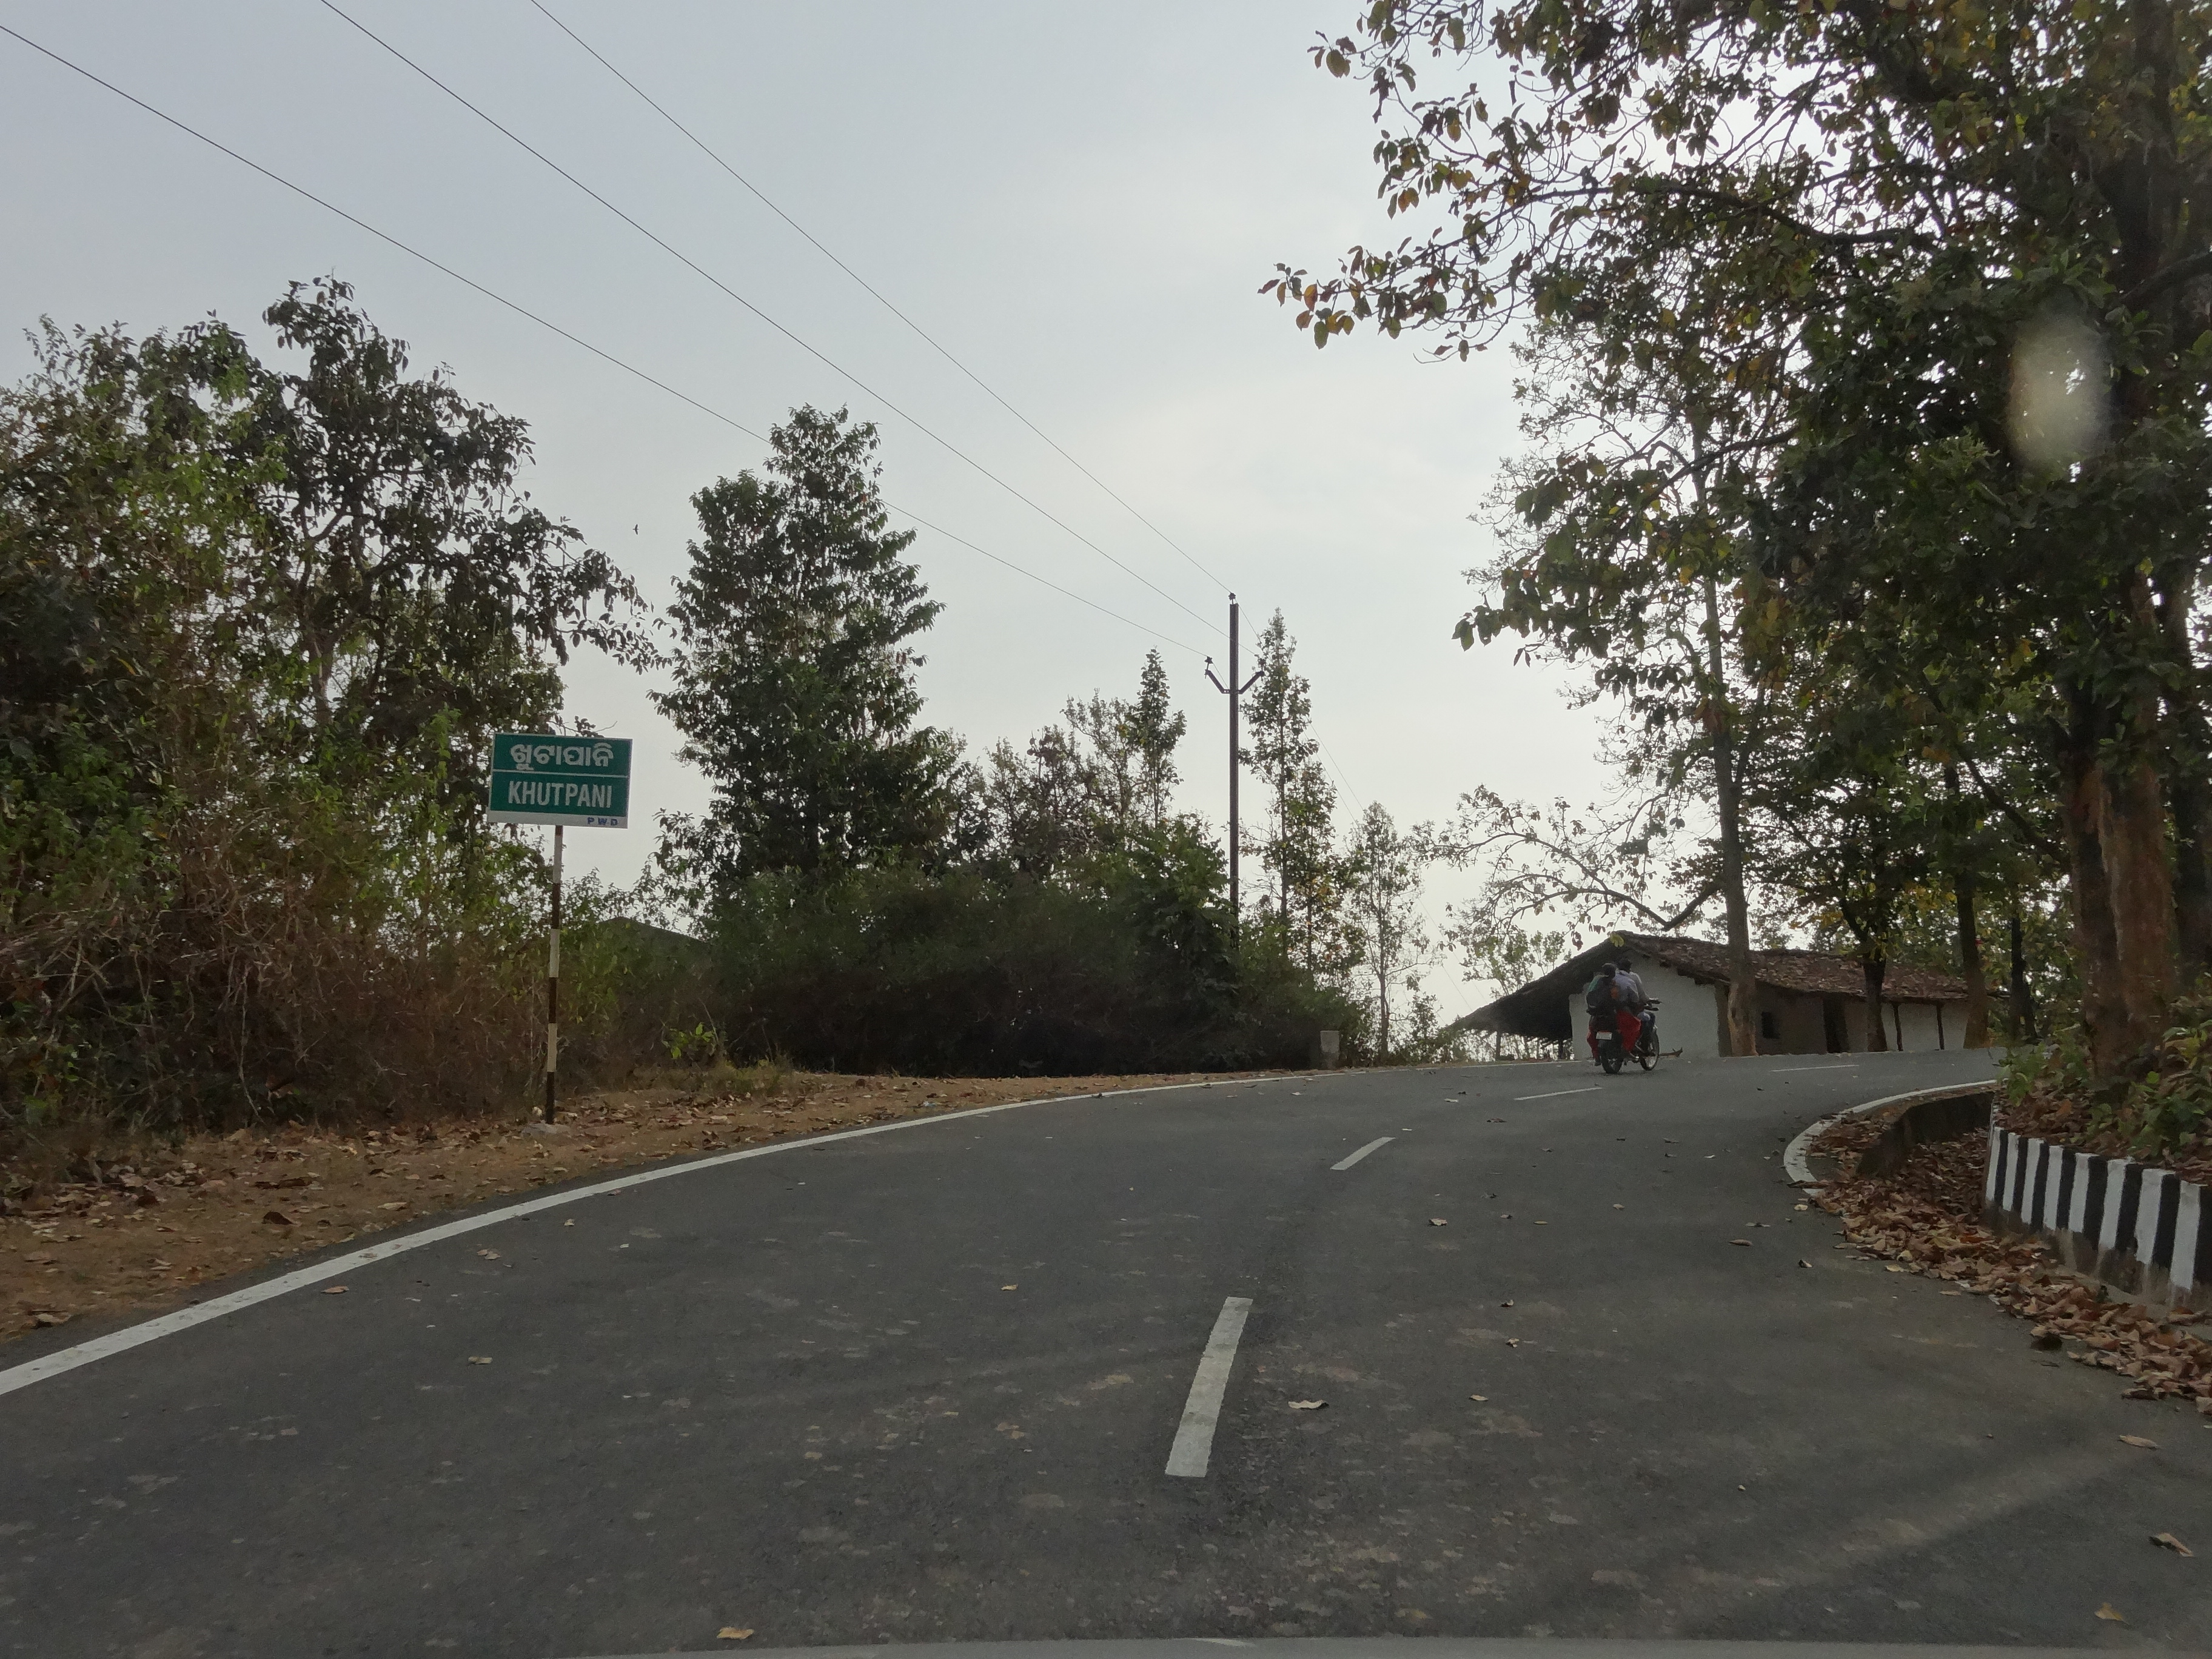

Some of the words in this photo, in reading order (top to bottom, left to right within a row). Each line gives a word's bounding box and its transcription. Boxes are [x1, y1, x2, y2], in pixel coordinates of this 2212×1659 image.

[504, 737, 618, 774] ଖୁଟାପାନି
[506, 778, 615, 812] KHUTPANI